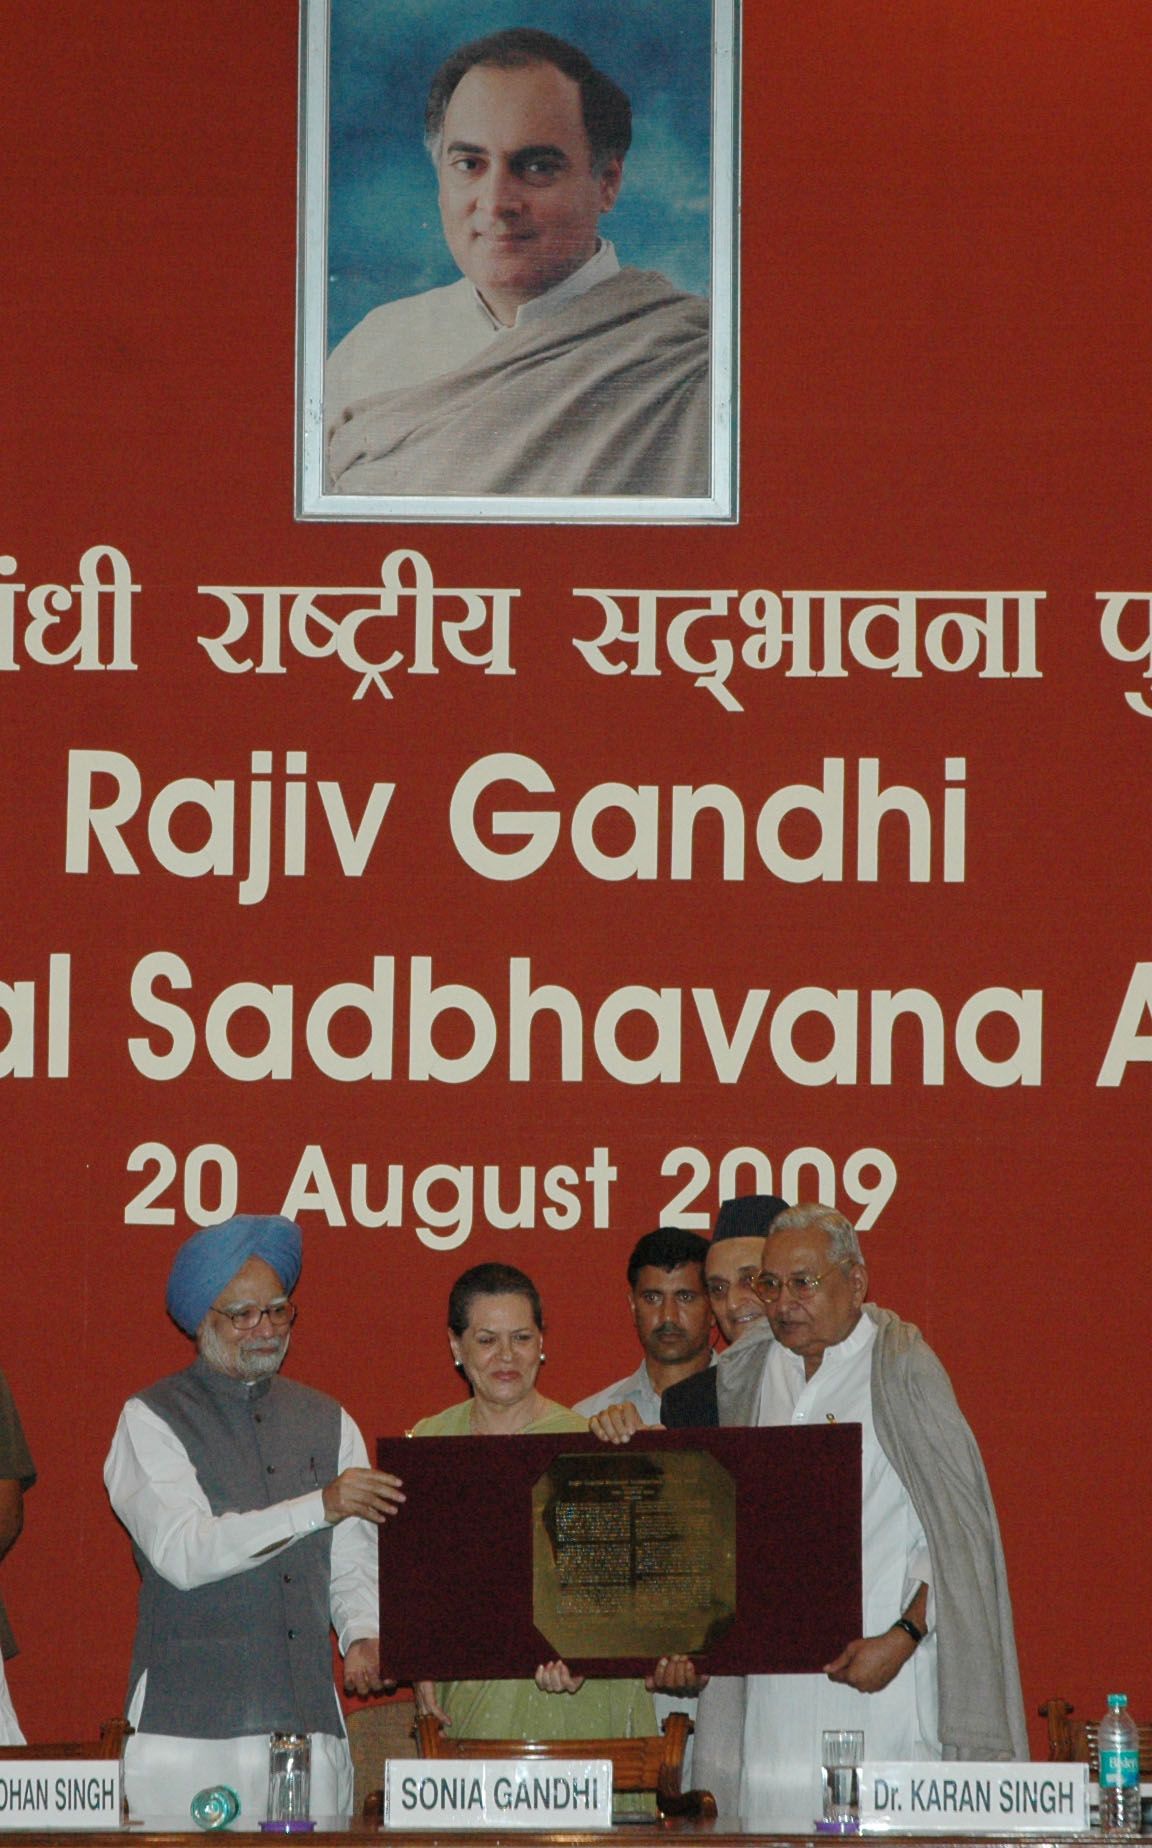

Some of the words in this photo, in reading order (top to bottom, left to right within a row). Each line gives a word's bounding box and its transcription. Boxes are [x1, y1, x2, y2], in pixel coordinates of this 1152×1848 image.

[0, 532, 155, 687] धी
[198, 526, 538, 712] राष्ट्रीय
[566, 572, 1052, 722] सद्भावना
[62, 730, 406, 912] Rajiv
[440, 740, 978, 896] Gandhi
[114, 938, 1052, 1096] Sadbhavana
[113, 1132, 252, 1239] 20
[270, 1136, 628, 1264] August
[642, 1130, 908, 1248] 2009
[0, 1764, 60, 1820] OHAN
[50, 1775, 122, 1814] SINGH
[399, 1772, 485, 1814] SONIA
[490, 1772, 599, 1815] GANDHI
[866, 1772, 909, 1821] Dr.
[900, 1770, 1010, 1824] KARAN
[992, 1772, 1077, 1820] SINGH